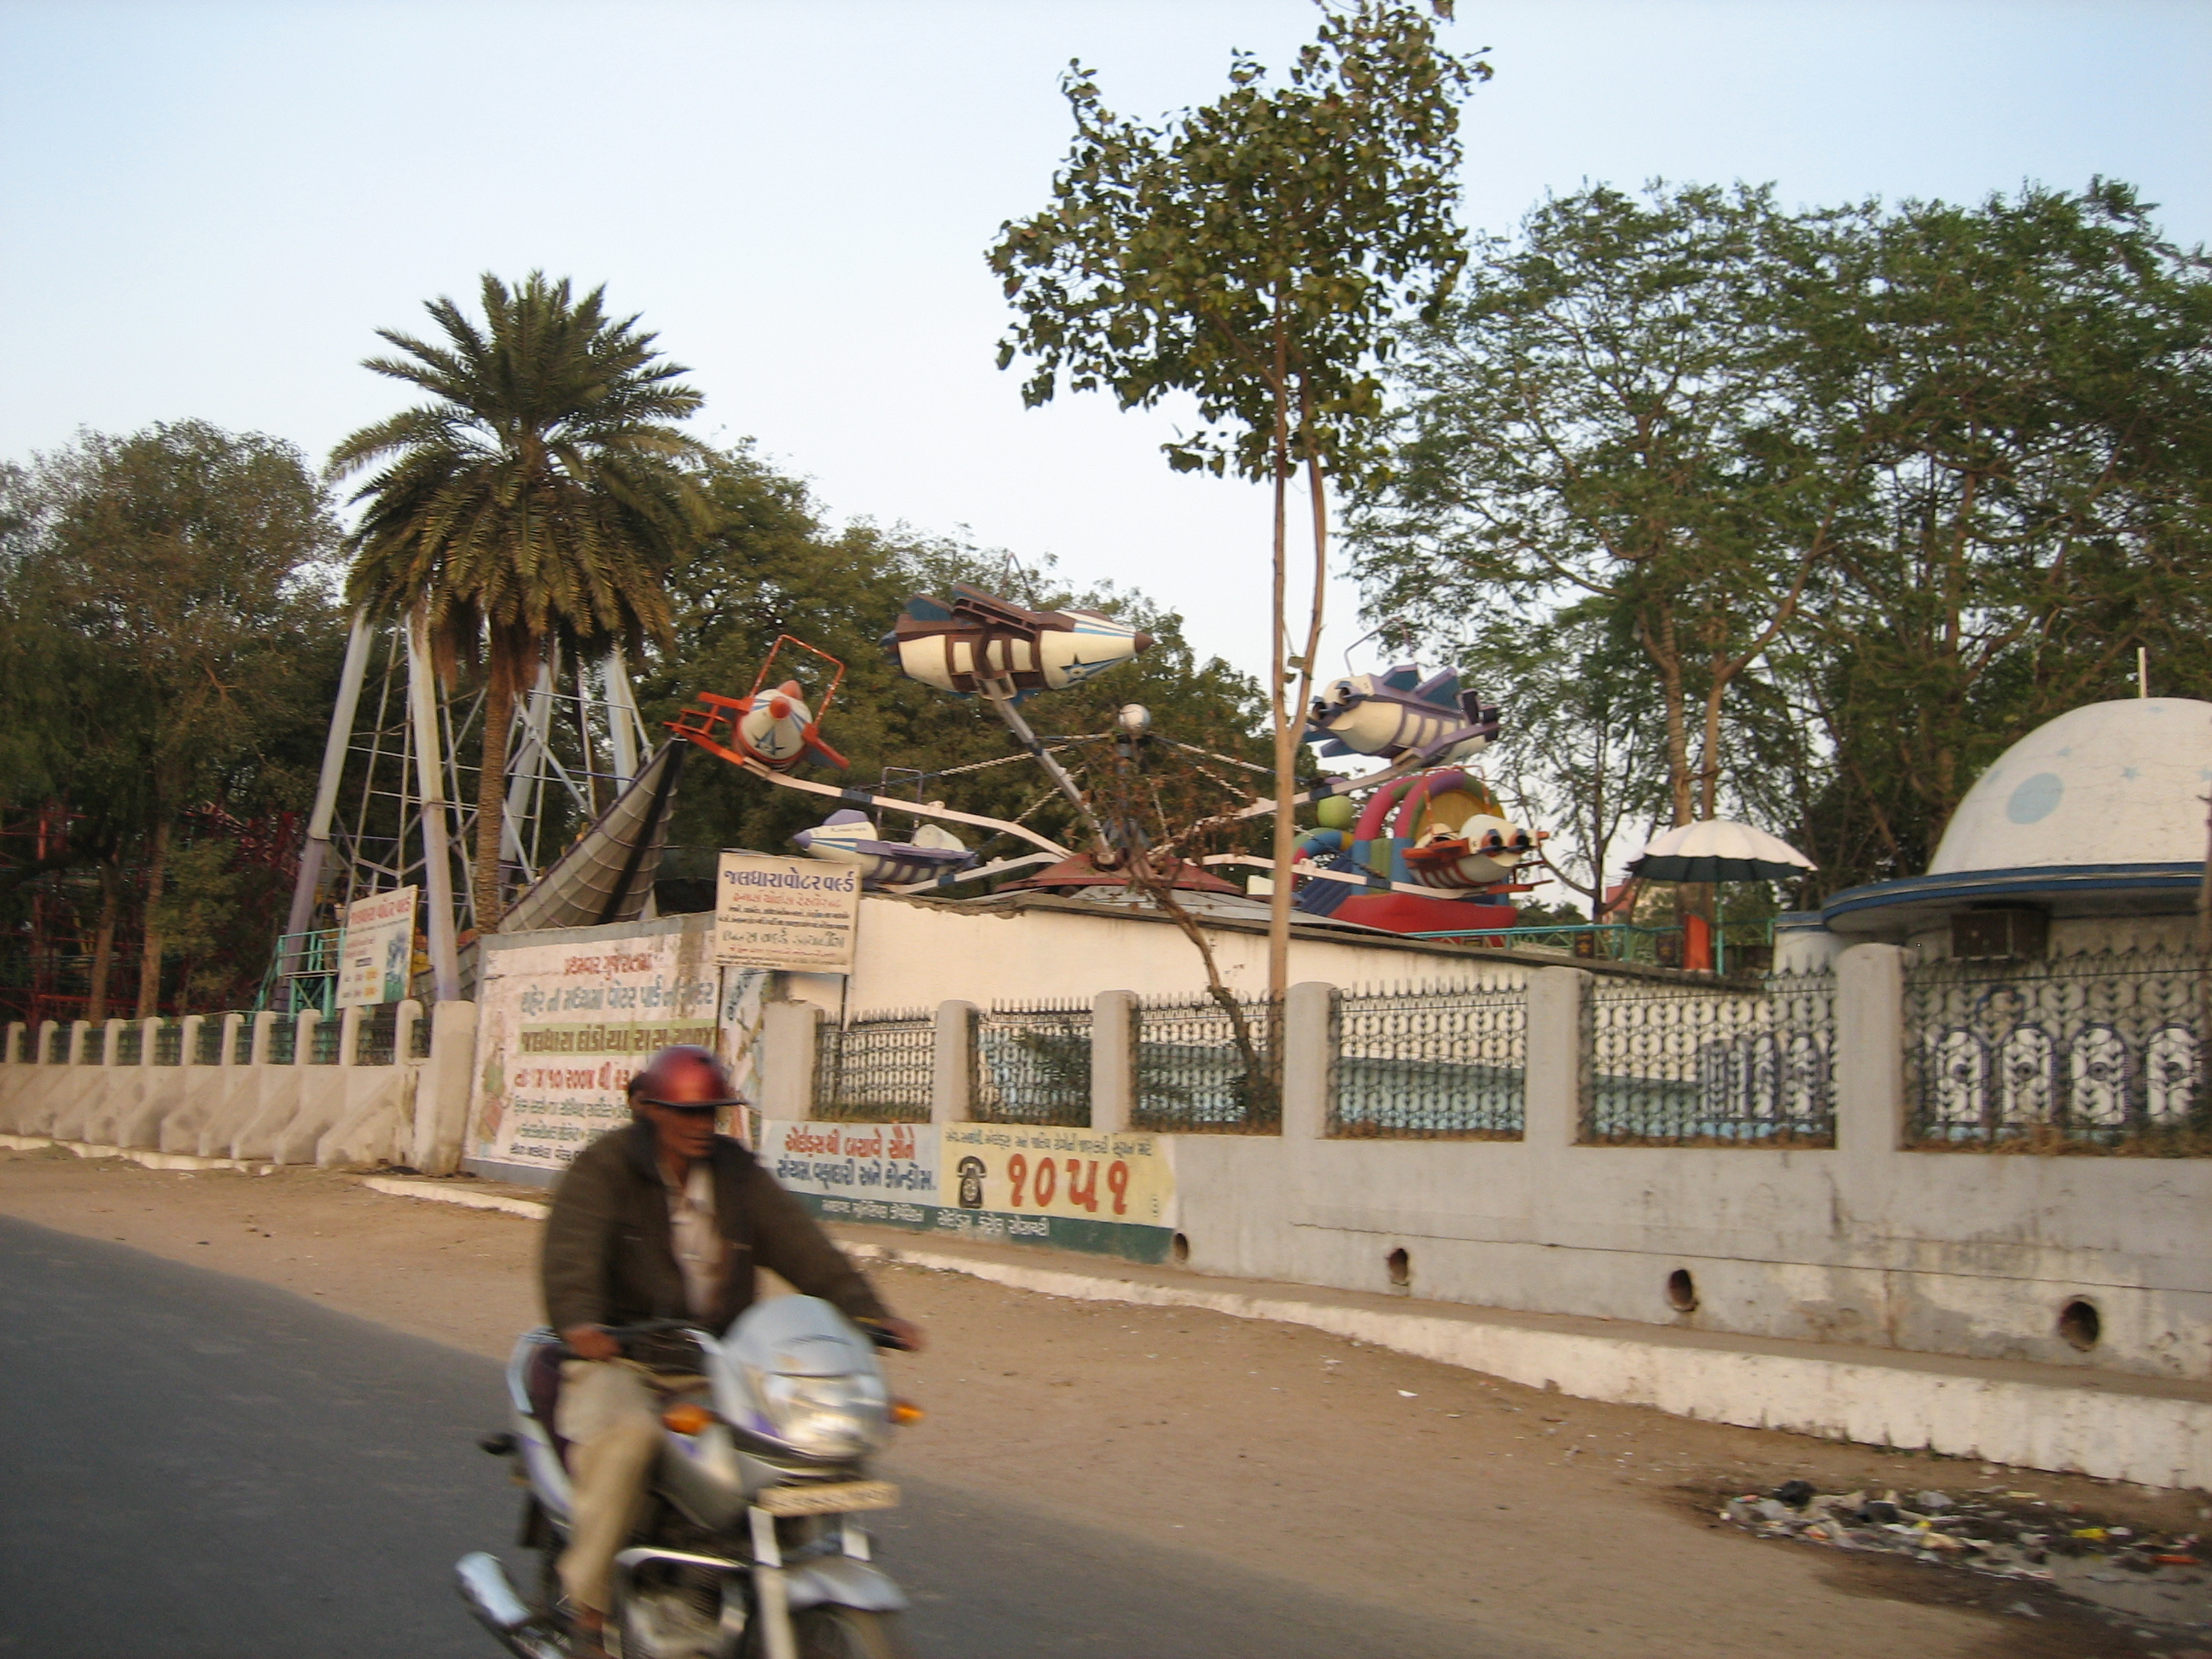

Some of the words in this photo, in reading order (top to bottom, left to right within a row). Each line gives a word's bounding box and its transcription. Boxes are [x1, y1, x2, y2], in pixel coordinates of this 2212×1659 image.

[527, 1026, 676, 1051] જલધારા ડાંકીયા રાસ
[781, 1125, 905, 1159] એઈડ્સ થી બરાવે સૌને
[999, 1145, 1138, 1220] ૧૦પ૧